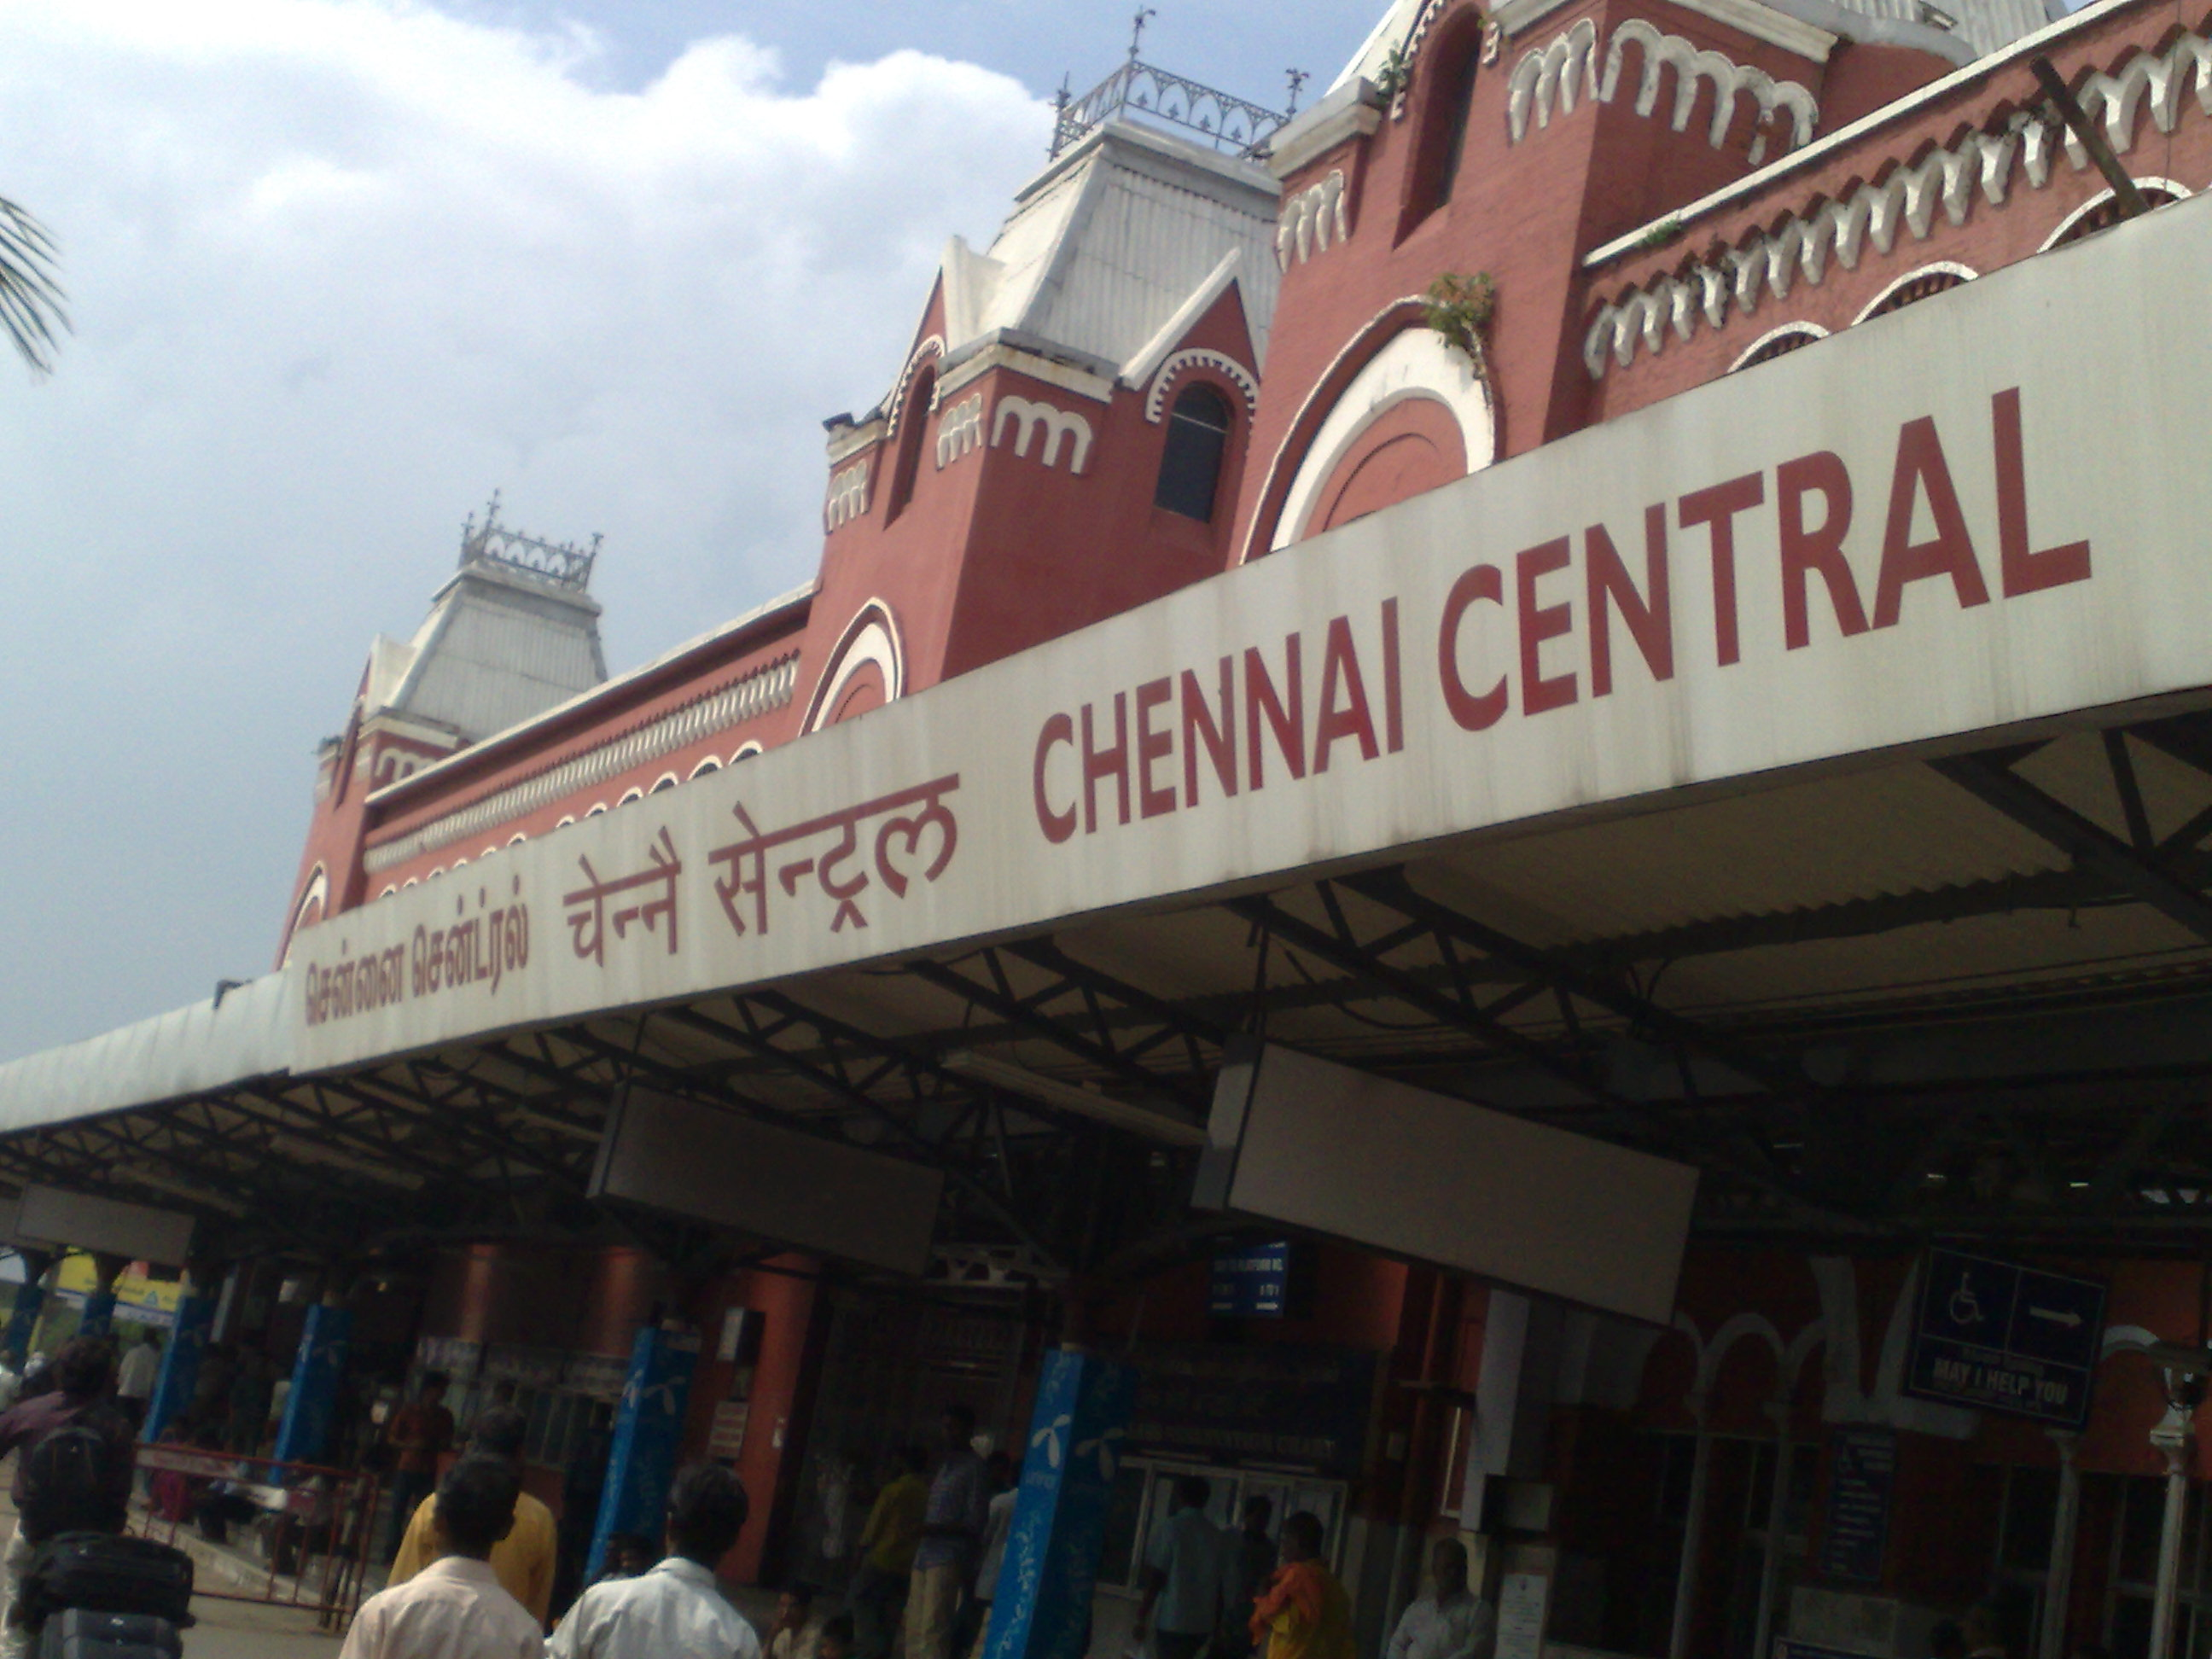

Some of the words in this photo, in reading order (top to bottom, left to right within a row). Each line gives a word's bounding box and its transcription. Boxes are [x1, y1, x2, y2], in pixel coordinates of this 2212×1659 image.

[1431, 377, 2100, 739] CENTRAL
[1023, 590, 1411, 849] CHENNAI
[295, 933, 407, 1029] ௭சன்னை
[406, 870, 536, 1002] சென்ட்ரல்
[554, 818, 687, 974] चेन्नै
[704, 767, 966, 939] सेन्ट्रल
[1924, 1353, 1979, 1390] MAY
[1981, 1364, 2034, 1399] HELP
[2028, 1373, 2073, 1409] YOU